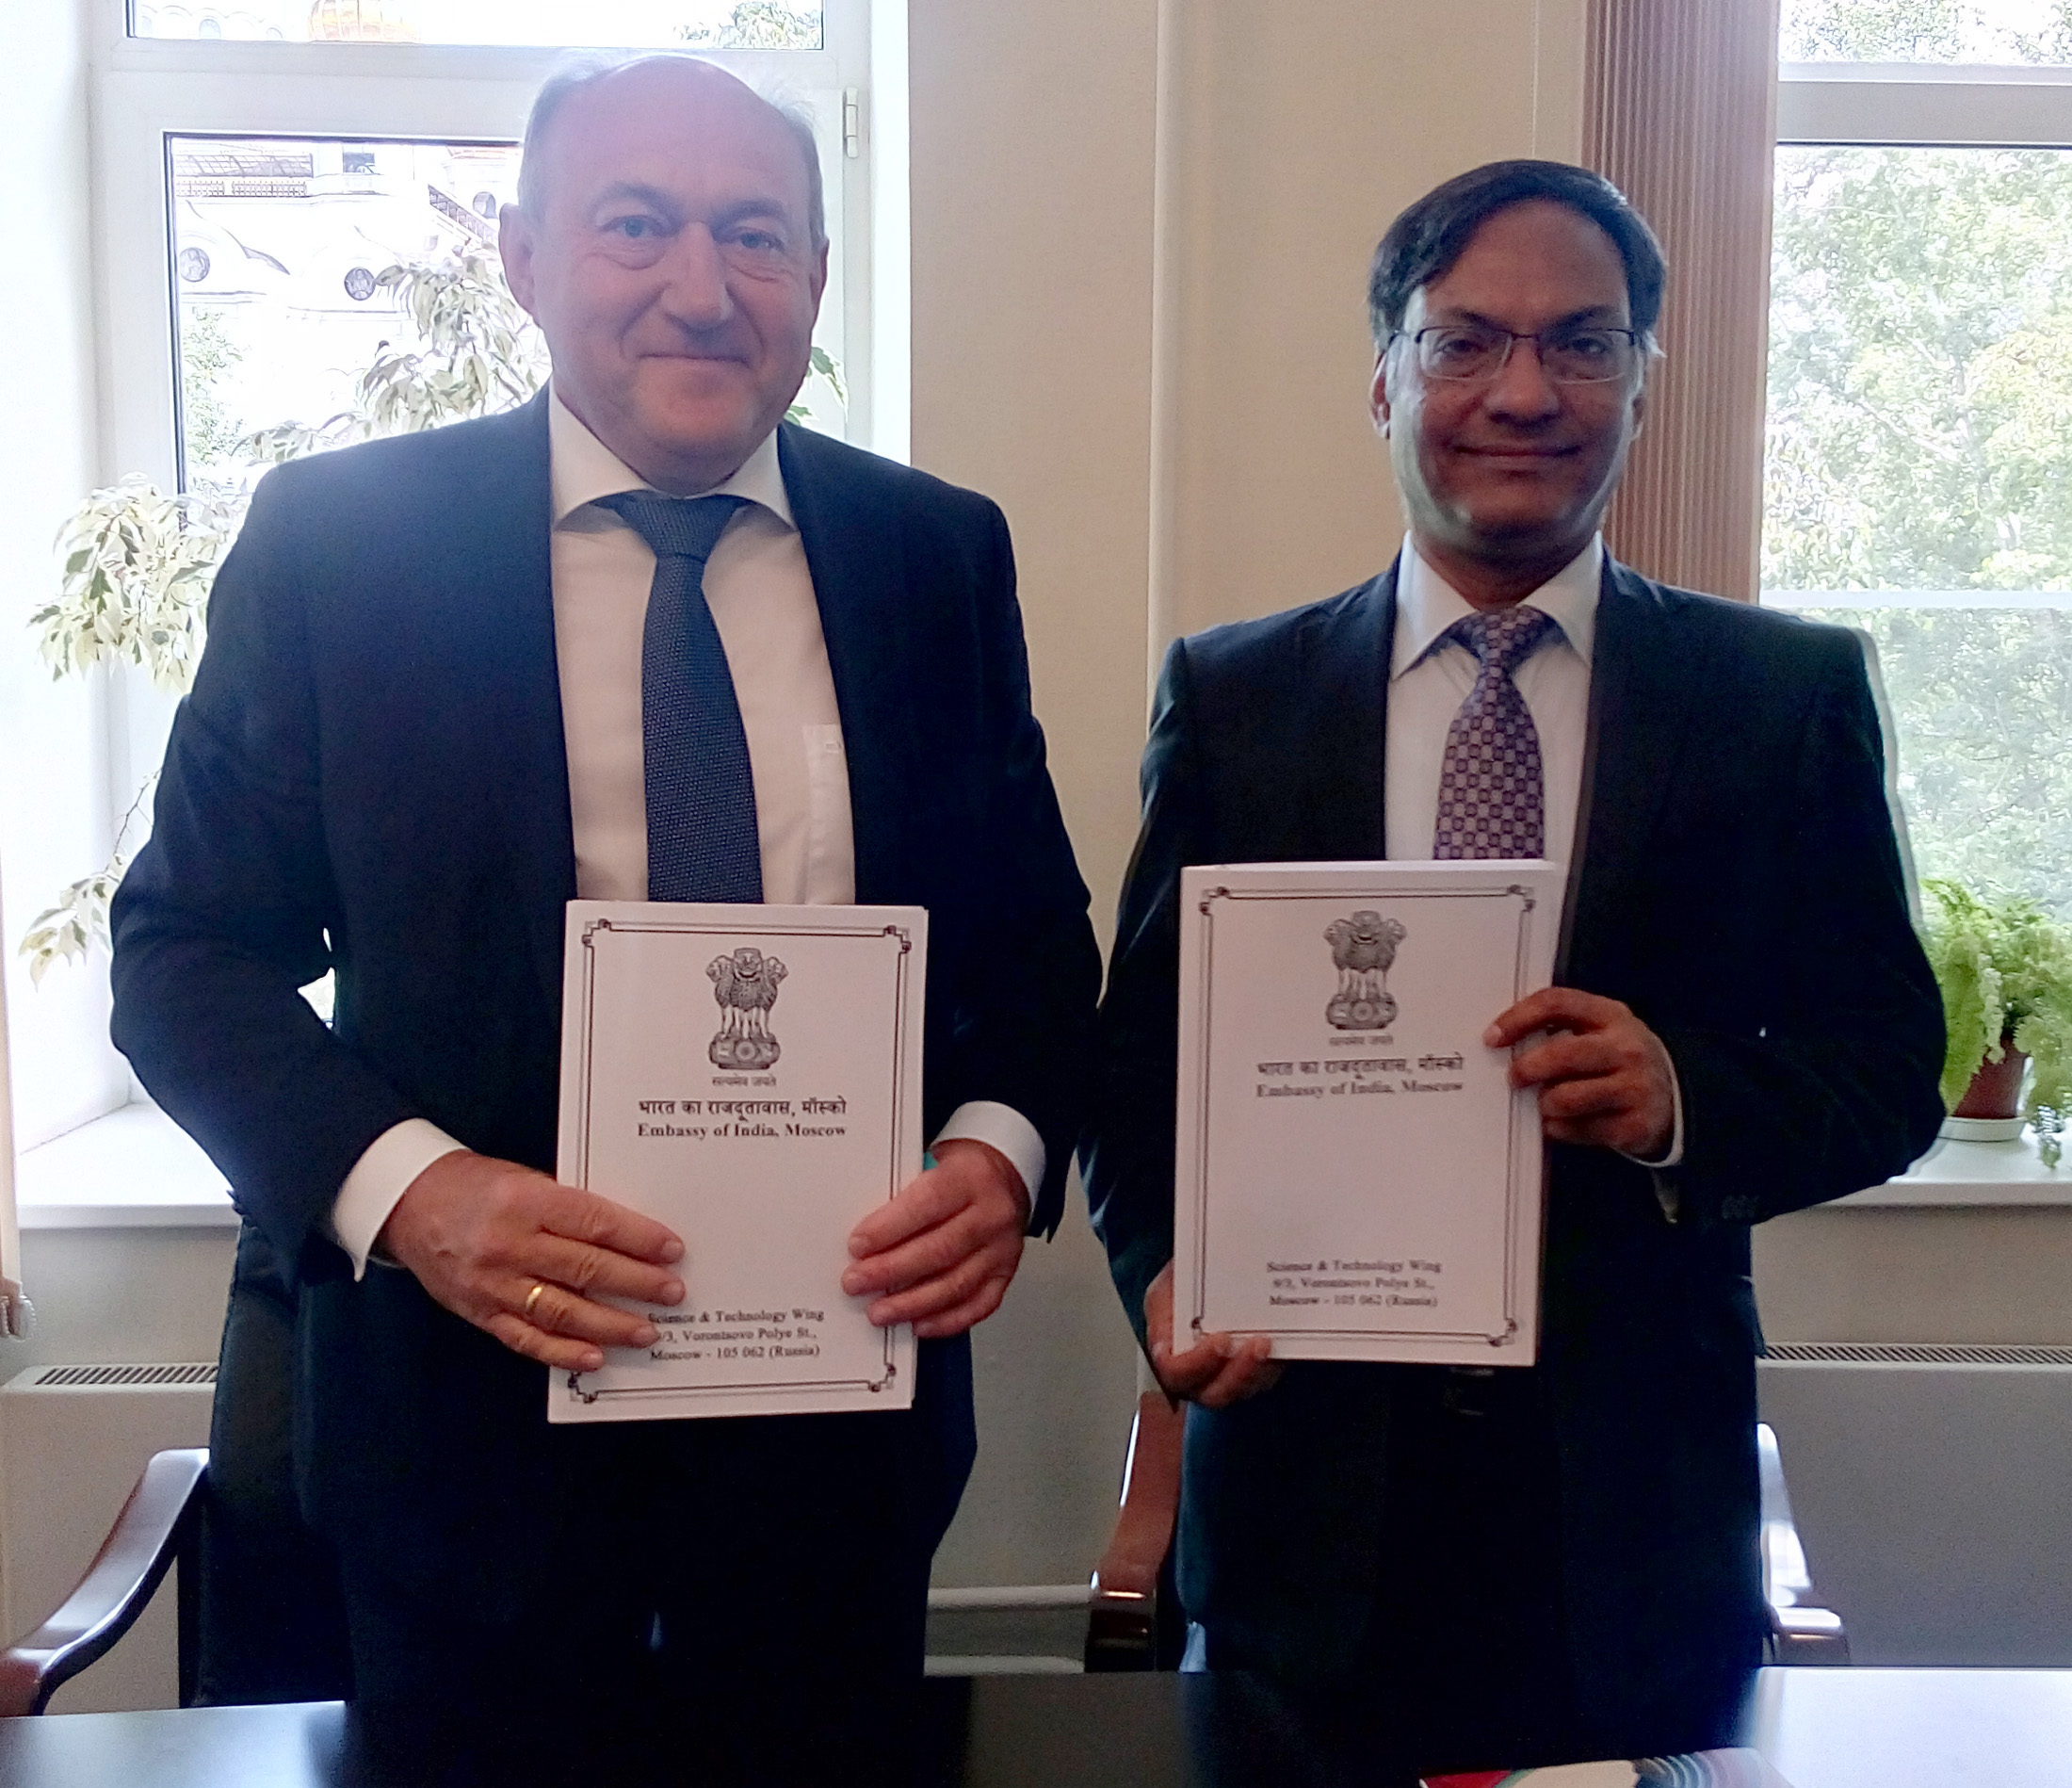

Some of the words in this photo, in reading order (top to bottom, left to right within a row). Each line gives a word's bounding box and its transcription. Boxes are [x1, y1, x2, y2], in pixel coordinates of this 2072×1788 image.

[1327, 1030, 1367, 1048] सत्यमेव
[1253, 1058, 1295, 1079] भारत
[1298, 1058, 1322, 1078] का
[1324, 1057, 1409, 1081] राजदुताबास
[1415, 1048, 1466, 1073] मॉस्को
[705, 1071, 750, 1090] सत्यमेव
[1254, 1081, 1326, 1100] Embassy
[1328, 1078, 1348, 1097] of
[1347, 1077, 1393, 1097] India
[1398, 1077, 1467, 1093] Moscow
[638, 1098, 676, 1116] भारत
[680, 1097, 703, 1118] का
[707, 1098, 792, 1122] राजदूतावास
[798, 1094, 850, 1116] मॉस्को
[636, 1119, 710, 1143] Embassy
[712, 1120, 732, 1141] of
[732, 1121, 781, 1139] India,
[783, 1122, 849, 1139] Moscow
[715, 1308, 790, 1325] Technology.
[791, 1307, 825, 1323] Wing
[684, 1327, 756, 1341] Vorontsovo
[755, 1325, 796, 1342] Polye
[647, 1346, 704, 1361] काव्याकारी
[711, 1343, 766, 1361] 105062